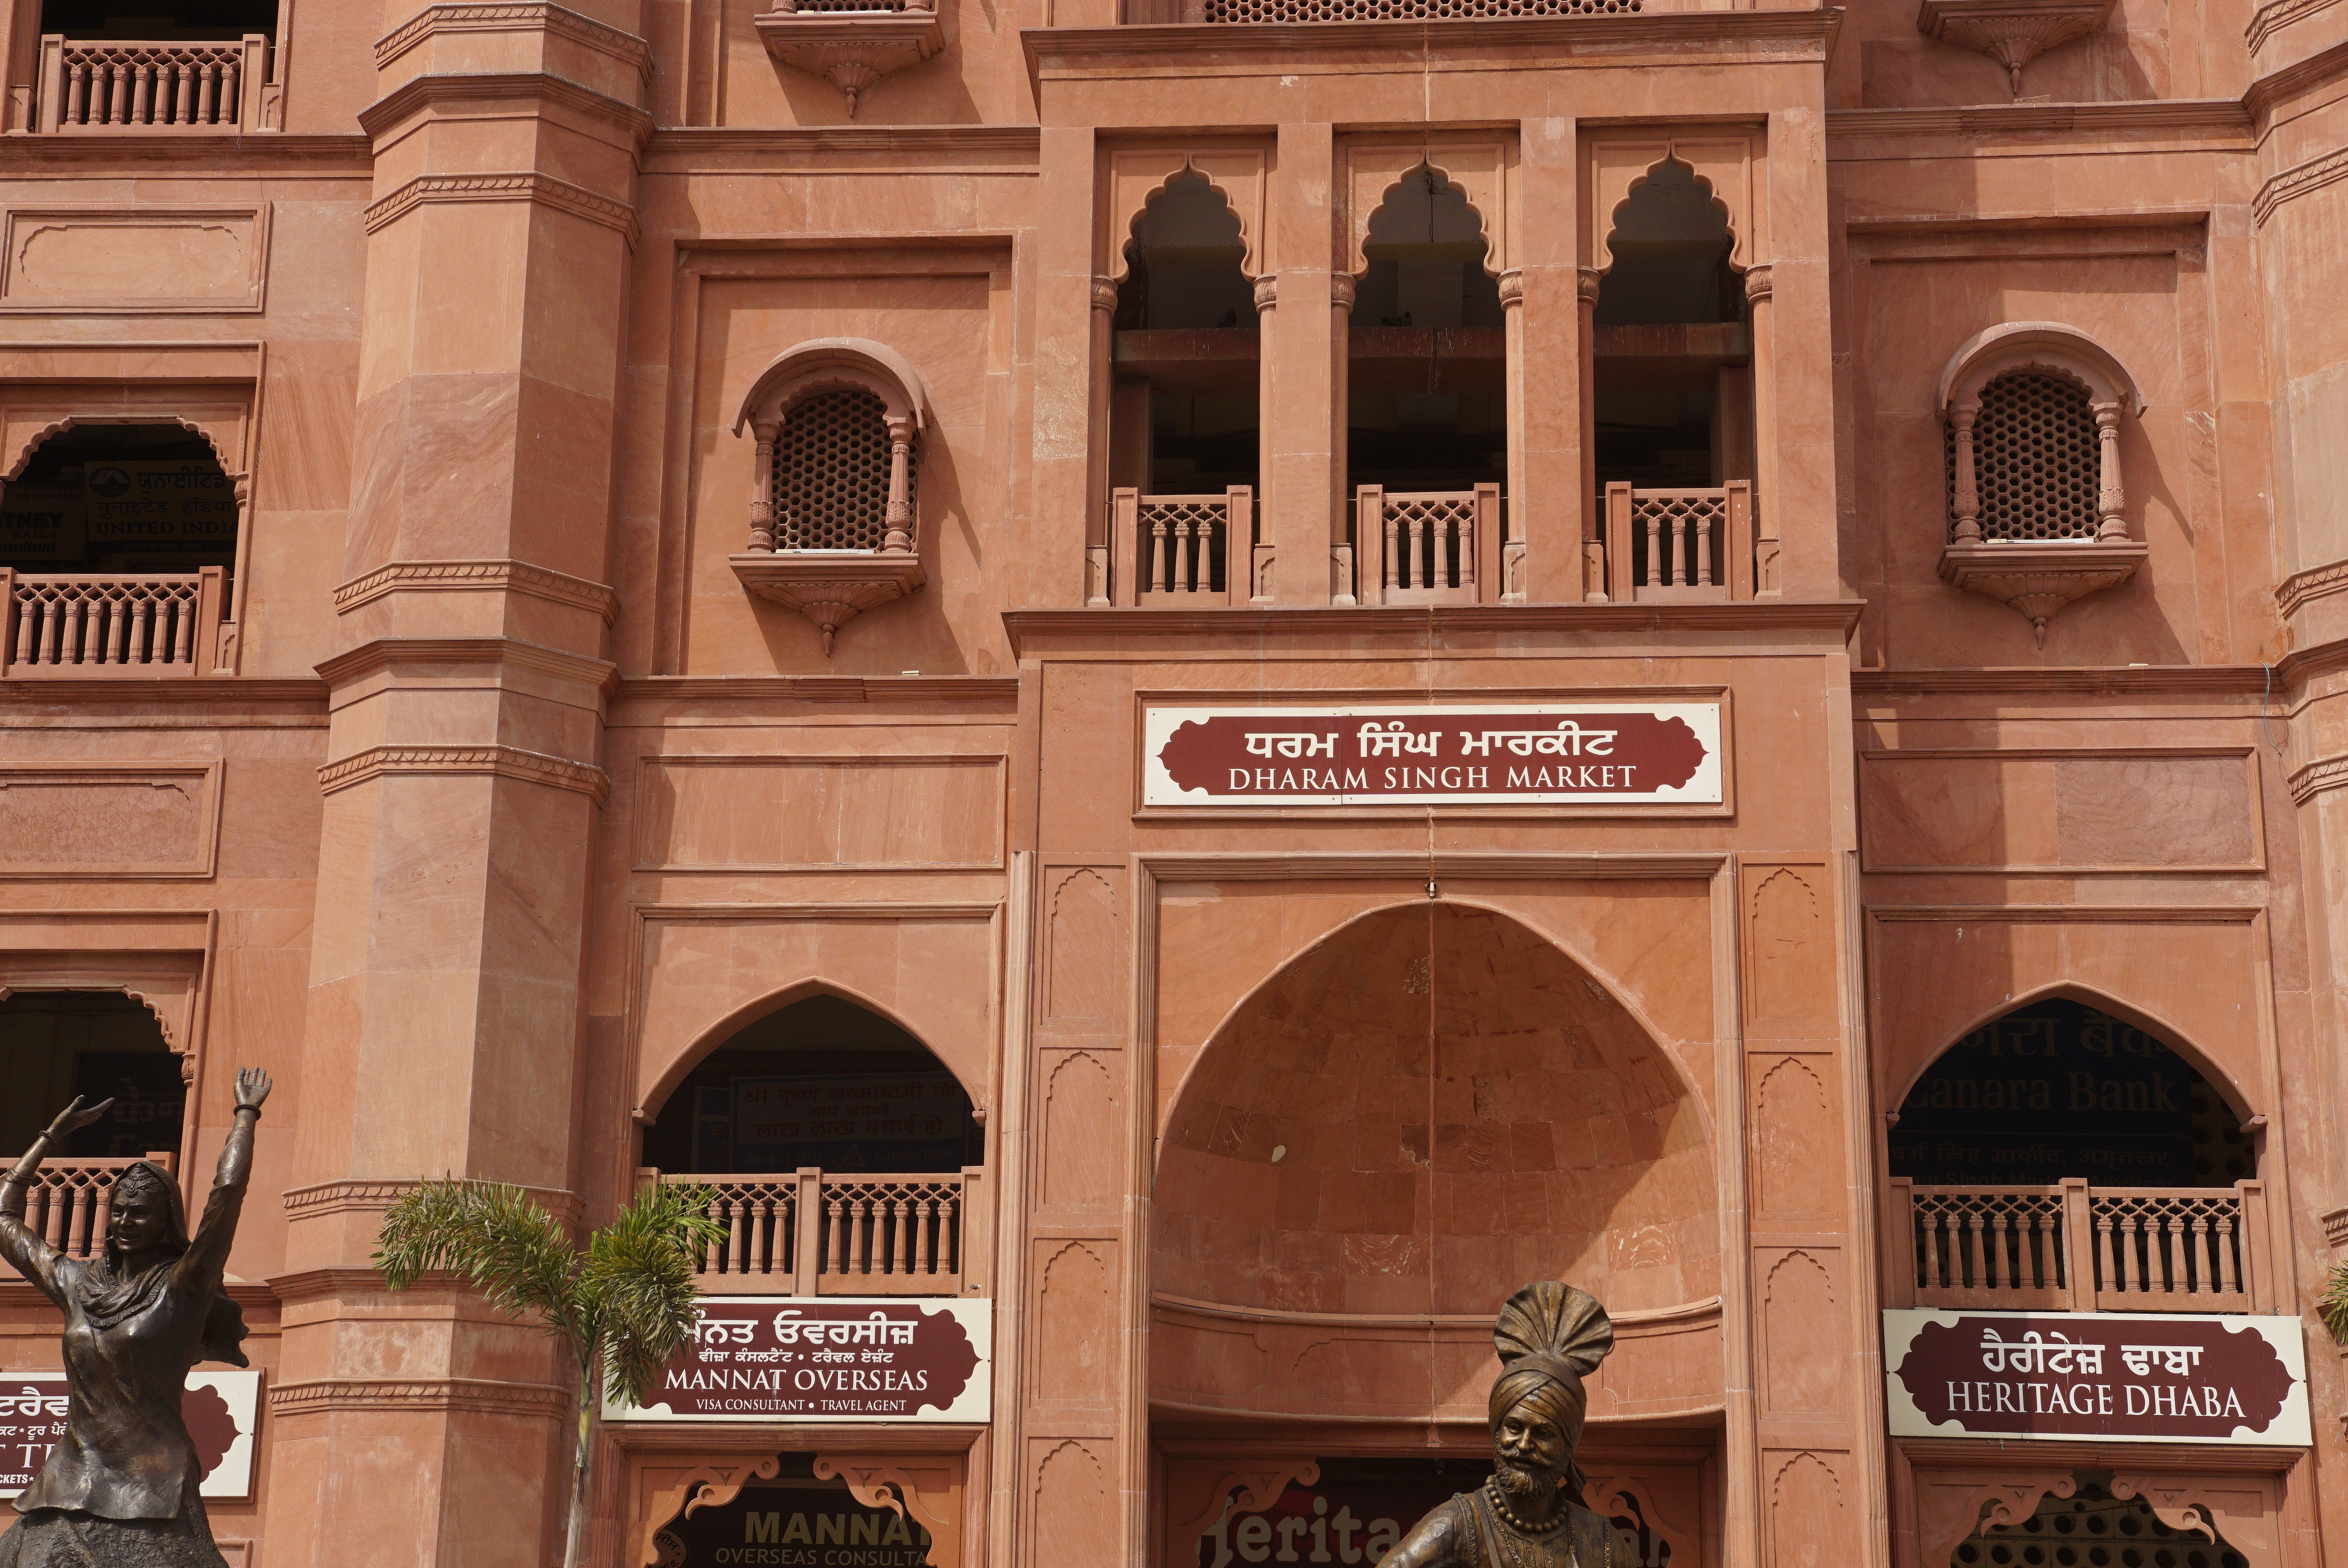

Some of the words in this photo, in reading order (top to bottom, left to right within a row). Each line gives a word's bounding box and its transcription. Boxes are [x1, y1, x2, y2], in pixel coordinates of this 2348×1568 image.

[1237, 728, 1342, 764] ਧਰਮ
[1350, 716, 1451, 764] ਸਿੰਘ
[1456, 718, 1625, 761] ਮਾਰਕੀਟ
[1224, 765, 1373, 792] DHARAM
[1381, 763, 1494, 792] SINGH
[1502, 761, 1644, 790] MARKET
[2004, 1009, 2068, 1066] ਦਾ
[2073, 1002, 2121, 1065] बै
[739, 1082, 775, 1109] श्री
[749, 1121, 806, 1140] लाख
[774, 1086, 823, 1111] कृष्ण
[805, 1105, 843, 1121] आप
[806, 1118, 862, 1140] लाख
[843, 1100, 893, 1119] सबको
[825, 1076, 929, 1103] जन्माष्टमी
[861, 1111, 921, 1140] बधाई
[920, 1112, 949, 1142] हो
[930, 1077, 962, 1101] की
[1904, 1067, 2061, 1120] Canara
[2063, 1067, 2186, 1121] Bank
[740, 1144, 794, 1170] केनरा
[794, 1143, 825, 1165] बैਂक
[873, 1144, 921, 1162] Canara
[921, 1143, 960, 1162] Bank
[1889, 1138, 1933, 1164] धर्म
[1933, 1137, 1984, 1169] सिंह
[1986, 1140, 2065, 1170] मार्कीट
[2073, 1148, 2176, 1174] अमृतसर
[673, 1306, 763, 1349] ਮੰਨਤ
[766, 1305, 923, 1349] ਓਵਰਸੀਜ਼
[695, 1346, 733, 1365] ਵੀਜ਼ਾ
[732, 1345, 796, 1365] ਕੰਸਲਟੈਂਟ
[809, 1345, 858, 1364] ਟਰੈਵਲ
[858, 1347, 897, 1364] ਏਜ਼ੰਟ
[1975, 1325, 2109, 1378] ਹੈਰੀਟੇਜ਼
[2115, 1342, 2208, 1378] ਢਾਬਾ
[662, 1365, 790, 1395] MANNAT
[792, 1367, 933, 1394] OVERSEAS
[694, 1396, 724, 1411] VISA
[723, 1396, 808, 1413] CONSULTANT
[818, 1397, 864, 1412] TRAVEL
[863, 1397, 908, 1414] AGENT
[1941, 1378, 2117, 1419] HERITAGE
[2121, 1380, 2251, 1422] DHABA
[734, 1503, 918, 1548] MANNA
[1233, 1490, 1405, 1567] erita
[707, 1546, 821, 1567] OVERSEAS
[818, 1547, 930, 1567] CONSULTA